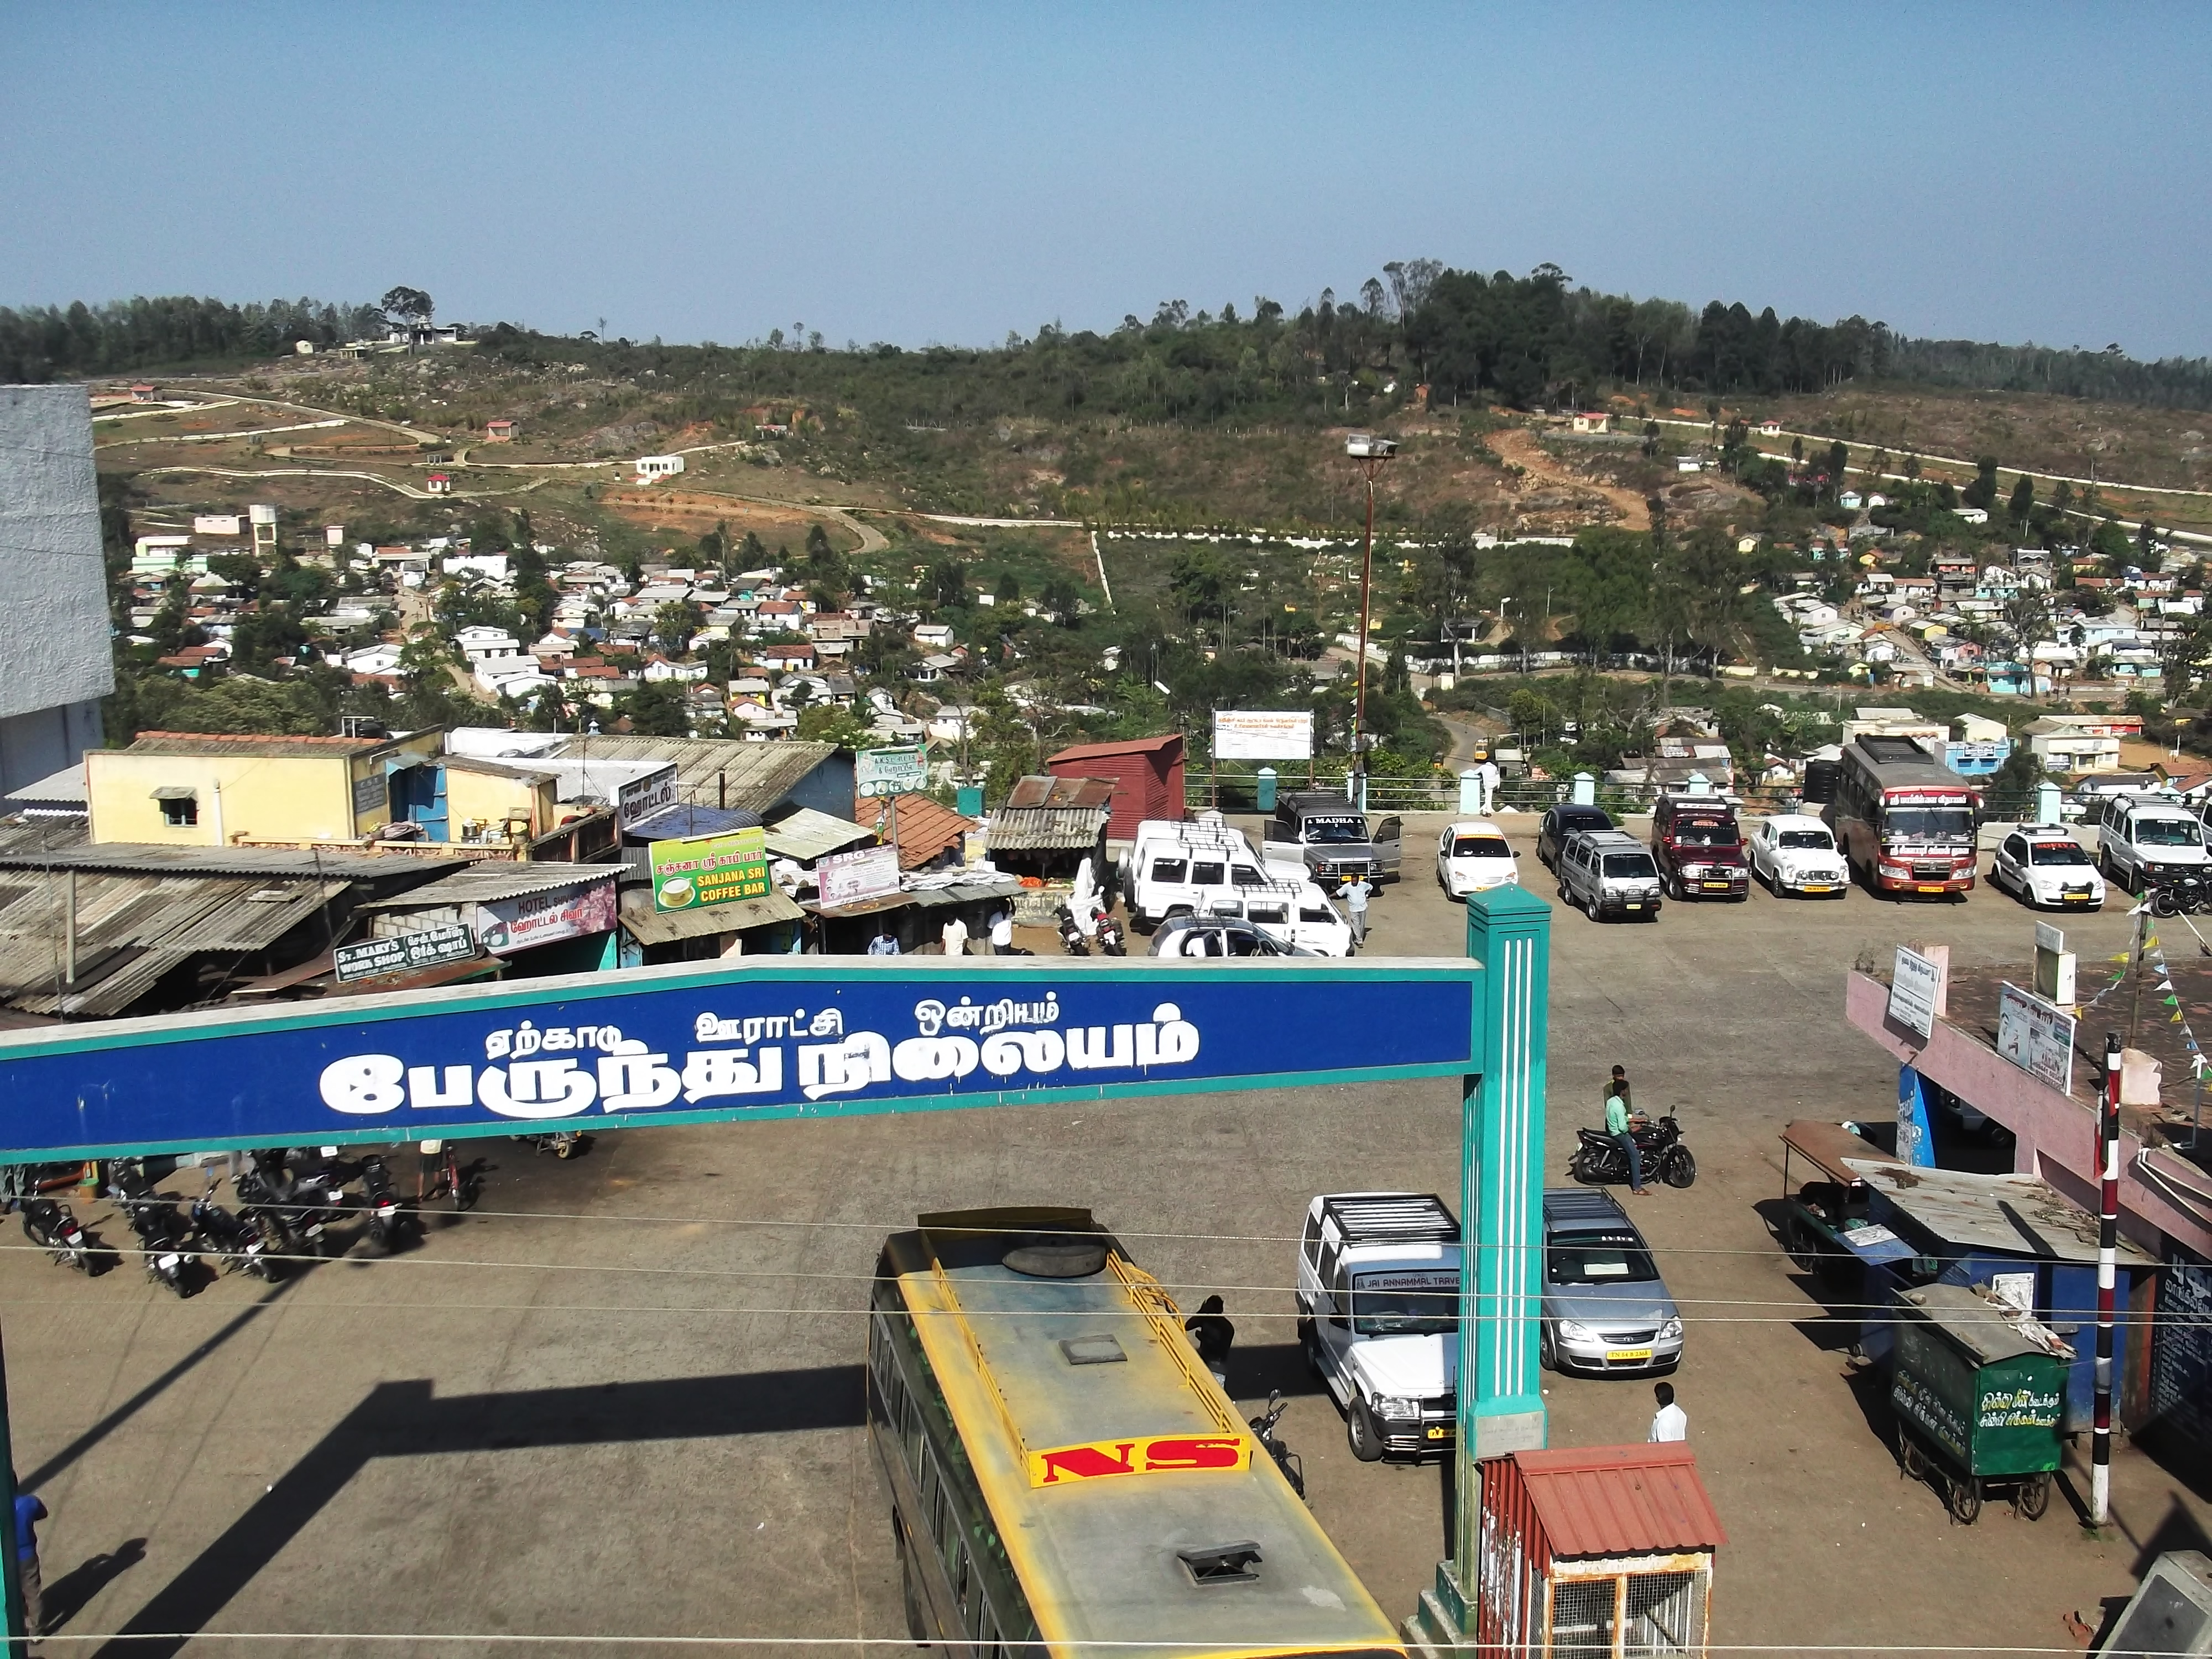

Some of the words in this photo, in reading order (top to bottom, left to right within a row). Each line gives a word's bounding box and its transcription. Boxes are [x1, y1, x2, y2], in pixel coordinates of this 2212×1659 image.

[621, 778, 675, 825] ஹோட்டல்
[1935, 791, 1970, 806] விநாயகா்
[338, 956, 377, 977] WORK
[332, 937, 402, 966] ST.MARY
[371, 949, 408, 969] SHOP
[403, 922, 469, 947] சென்.மேரிஸ்
[434, 934, 470, 956] ஷாப்
[516, 893, 552, 916] HOTEL
[508, 910, 560, 939] ஹோட்டல்
[557, 905, 584, 923] சிவா
[652, 856, 701, 879] சஞ்சனா
[700, 848, 719, 873] ஸ்ரீ
[698, 882, 744, 905] COFFEE
[696, 867, 750, 889] SANJANA
[715, 848, 742, 869] காபி
[739, 844, 766, 865] பாா்
[744, 881, 768, 898] BAR
[745, 865, 768, 881] SRI
[913, 988, 1062, 1038] ஒன்றியம்
[691, 1004, 846, 1048] ஊராட்சி
[482, 1015, 625, 1062] ஏற்காடு
[308, 994, 1204, 1123] பேருந்து நிலையம்